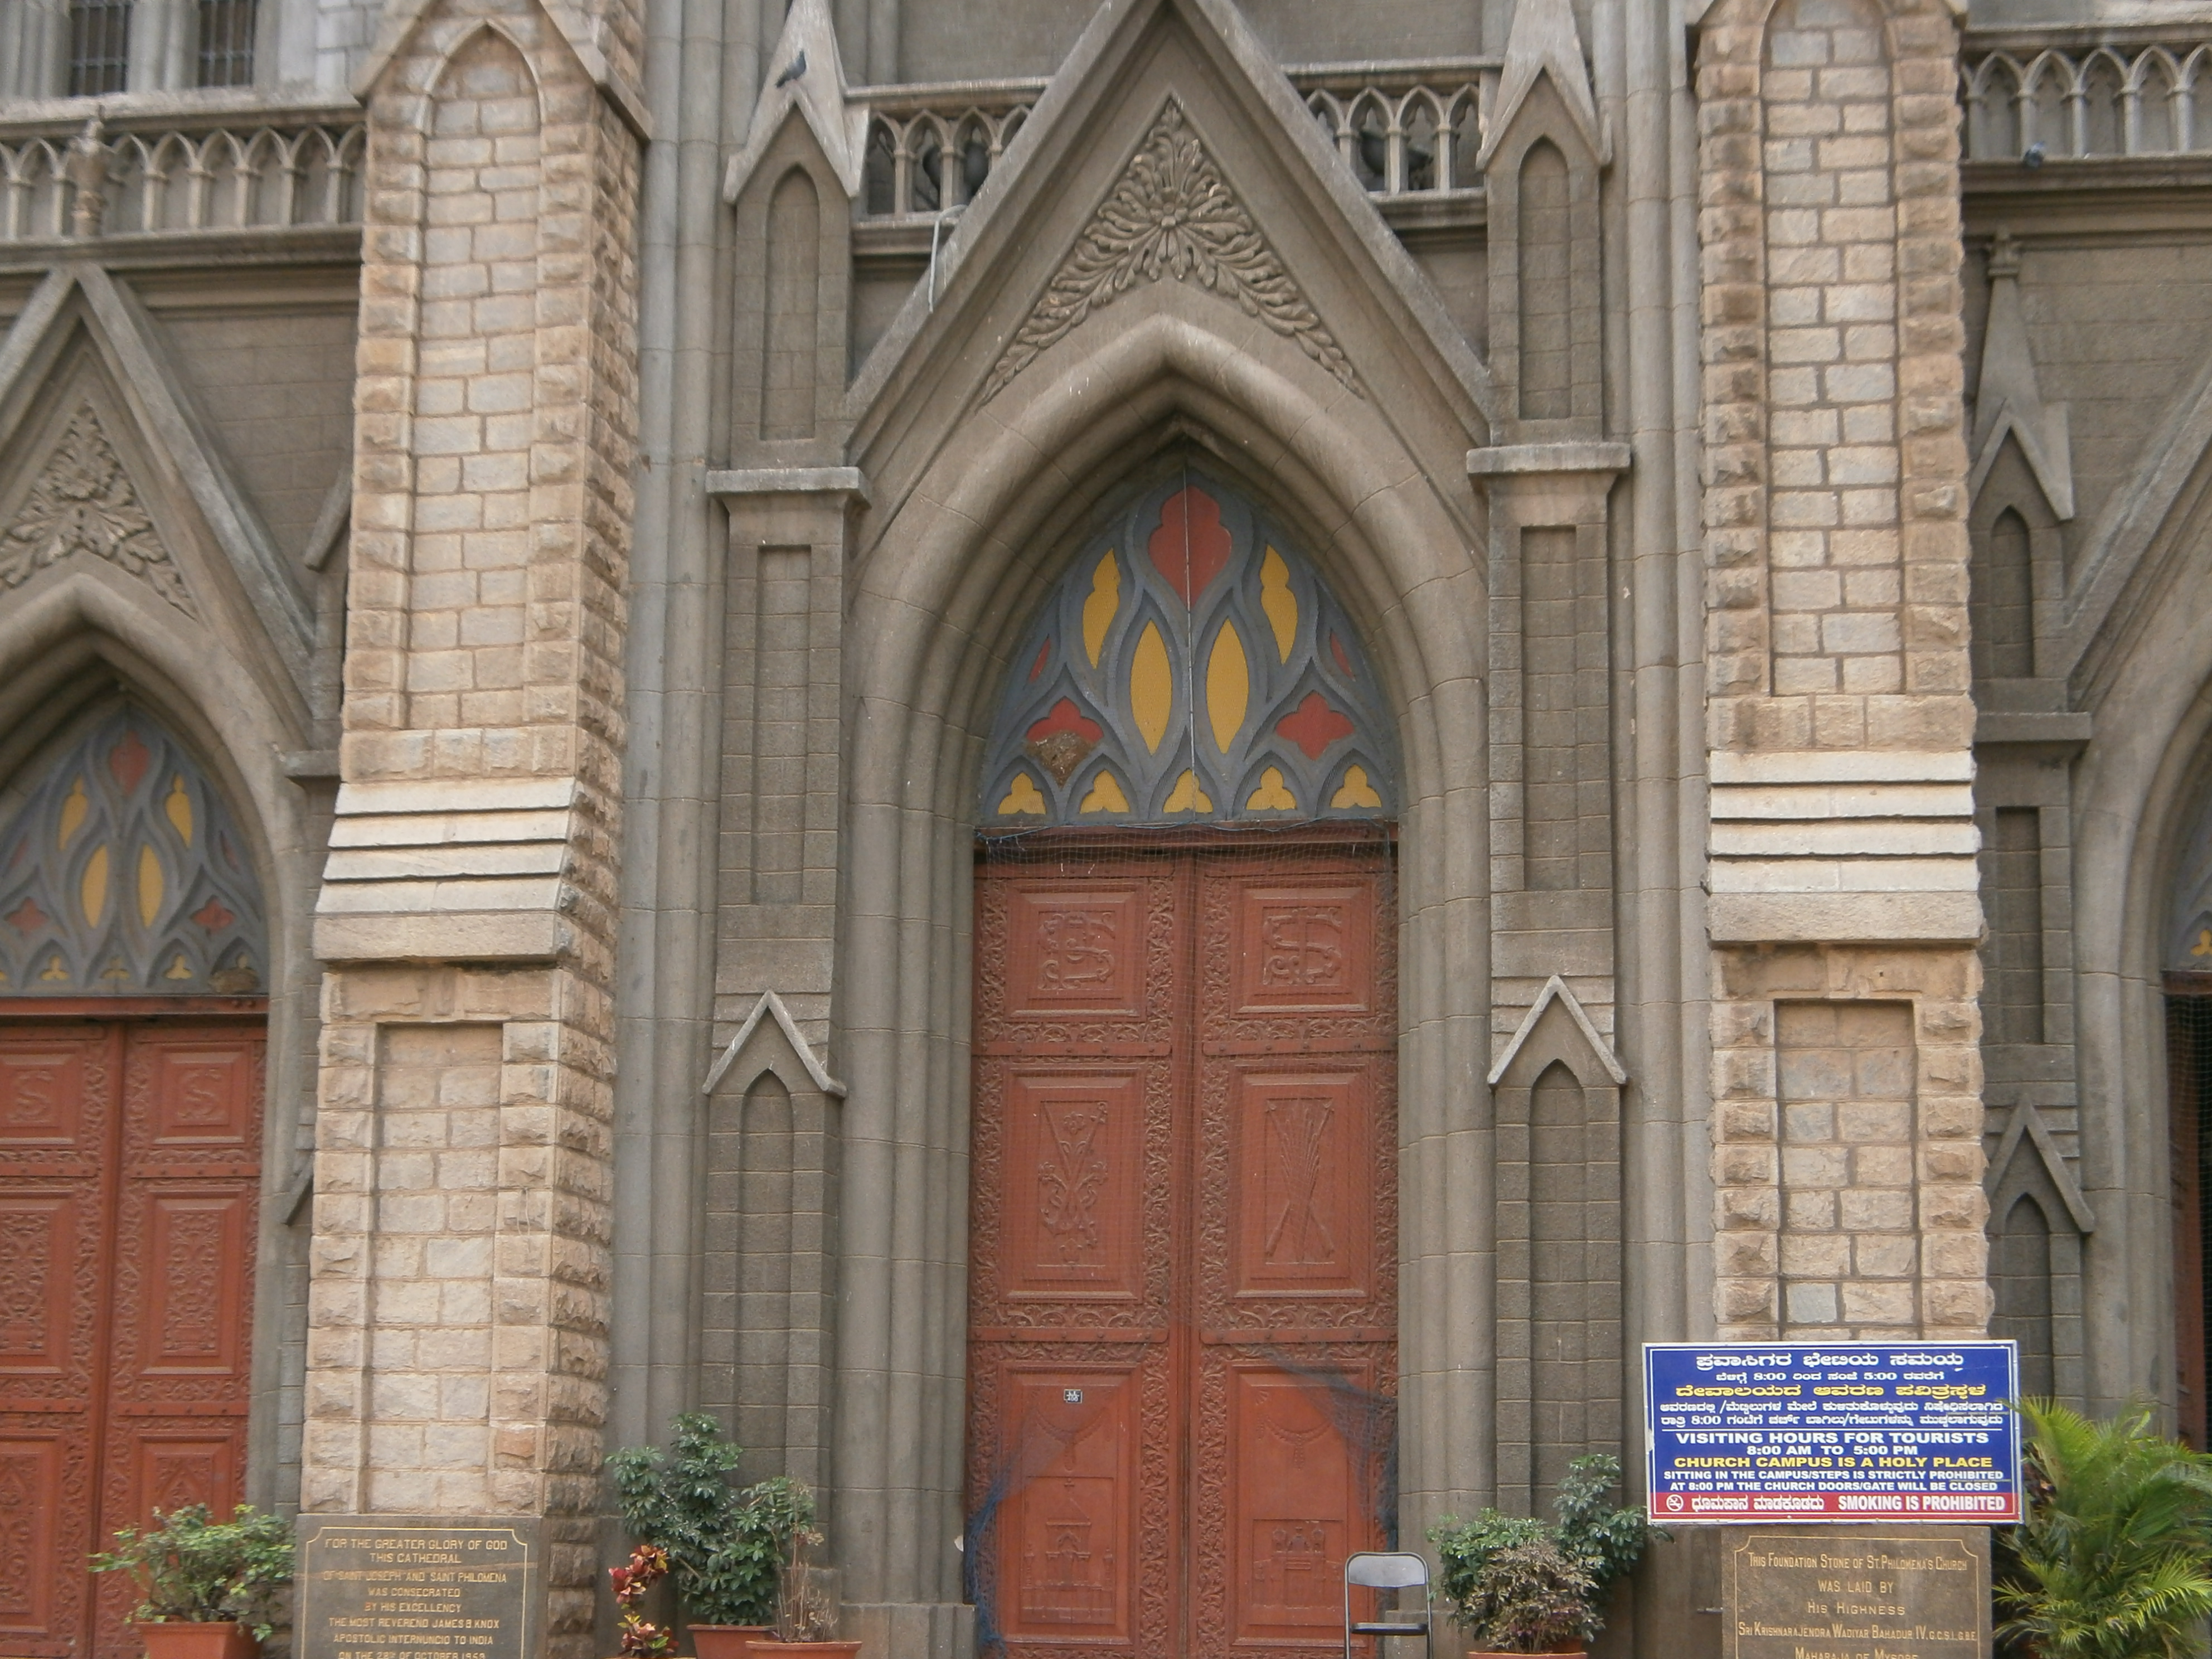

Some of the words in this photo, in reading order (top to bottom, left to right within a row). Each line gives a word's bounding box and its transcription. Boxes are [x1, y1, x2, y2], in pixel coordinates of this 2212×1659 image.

[1696, 1351, 1792, 1373] ಪ್ರವಾಸಿಗರ
[1802, 1345, 1883, 1370] ಭೇಟಿಯ
[1887, 1346, 1968, 1372] ಸಮಯ
[1714, 1366, 1751, 1386] ಬೆಳಗ್ಗ
[1749, 1370, 1788, 1384] 8:00
[1789, 1370, 1823, 1383] ರಿಂದ
[1824, 1365, 1859, 1383] ಸಂಜೆ
[1861, 1370, 1899, 1383] 5:00
[1899, 1367, 1949, 1383] ರವರೆಗೆ
[1670, 1381, 1804, 1400] ದೇವಾಲಯದ
[1811, 1379, 1887, 1399] ಆವರಣ
[1893, 1382, 1990, 1402] ಪವಿತ್ರಸ್ಠಳ
[1658, 1398, 1719, 1417] ಆವರಣದಲ್ಲಿ
[1721, 1400, 1784, 1417] ಮೆೞ್ಟಲುಗಳ
[1784, 1398, 1822, 1414] ಮೇಲೆ
[1818, 1397, 1920, 1416] ಕುಳಿತುಕೊಳ್ಳುವುದು
[1922, 1396, 2006, 1415] ನಿಷಅಧಿಸಲಾಗಿದ
[1658, 1414, 1690, 1431] ರಾತ್ರಿ
[1686, 1412, 1724, 1429] 8:00
[1725, 1413, 1764, 1428] ಗಂಟೆಗೆ
[1763, 1408, 1802, 1428] ಚಚ್೯
[1804, 1412, 1848, 1429] ಬಾಗಿಲು
[1845, 1410, 1915, 1428] ಗೇಟುಗಳನ್ನು
[1918, 1410, 2007, 1430] ಮುಚ್ಚಲಾಗುವುದು
[1673, 1429, 1766, 1448] VISITING
[1764, 1430, 1841, 1447] HOURS
[1841, 1429, 1886, 1447] FOR
[1885, 1428, 1992, 1446] TOURISTS
[1743, 1443, 1782, 1458] 8:00
[1781, 1442, 1813, 1459] AM
[1816, 1442, 1847, 1459] TO
[1853, 1442, 1891, 1458] 5:00
[1891, 1443, 1920, 1460] PM
[1670, 1452, 1753, 1471] CHURCH
[1754, 1454, 1835, 1470] CAMPUS
[1831, 1456, 1859, 1470] IS
[1854, 1455, 1875, 1470] A
[1877, 1455, 1928, 1469] HOLY
[1931, 1453, 1995, 1468] PLACE
[1660, 1467, 1714, 1483] SITTING
[1711, 1470, 1730, 1482] IN
[1728, 1466, 1758, 1482] THE
[1754, 1468, 1852, 1483] CAMPUS/STEPS
[1850, 1469, 1868, 1482] IS
[1865, 1468, 1928, 1482] STRICTLY
[1928, 1468, 2006, 1482] PROHIBITED
[1662, 1479, 1689, 1495] AT
[1684, 1478, 1714, 1492] 8:00
[1713, 1479, 1738, 1493] PM
[1735, 1478, 1765, 1495] THE
[1762, 1477, 1817, 1493] CHURCH
[1815, 1477, 1897, 1493] DOORS/GATE
[1894, 1478, 1932, 1495] WILL
[1927, 1479, 1948, 1496] BE
[1946, 1477, 1999, 1493] CLOSED
[1687, 1492, 1753, 1515] ಧೂಮಪಾನ
[1749, 1492, 1827, 1512] ಮಾಡಕೂಡದು
[1833, 1492, 1905, 1515] SMOKING
[1901, 1494, 1922, 1514] IS
[1920, 1492, 2009, 1513] PROHIBITED
[322, 1536, 348, 1551] FOR
[348, 1536, 373, 1553] THE
[372, 1536, 428, 1553] GREATER
[425, 1535, 468, 1553] GLORY
[464, 1534, 484, 1554] OF
[483, 1535, 510, 1551] GOD
[368, 1550, 396, 1567] THIS
[394, 1549, 463, 1567] CATHEDRAL
[1744, 1549, 1768, 1570] THIS
[1764, 1549, 1821, 1570] FOUNDATION
[1818, 1550, 1851, 1571] STONE
[1850, 1555, 1866, 1570] OF
[1864, 1551, 1935, 1571] ST.PHILOMENA
[1932, 1550, 1968, 1574] CHURCH
[318, 1567, 337, 1585] OF
[335, 1567, 365, 1583] SANT
[363, 1569, 405, 1585] JOSEPH
[405, 1569, 428, 1585] AND
[428, 1569, 457, 1585] SAINT
[454, 1568, 509, 1584] PHILOMENA
[365, 1584, 392, 1600] WAS
[387, 1585, 463, 1599] CONSECRATED
[1815, 1578, 1842, 1595] WAS
[1845, 1579, 1876, 1597] LAID
[1877, 1576, 1896, 1597] BY
[362, 1599, 379, 1616] BY
[377, 1599, 397, 1614] HIS
[394, 1599, 463, 1617] EXCELLENCY
[1802, 1597, 1833, 1615] HIS
[1833, 1598, 1908, 1619] HIGHNESS
[324, 1614, 347, 1631] THE
[332, 1629, 388, 1647] APOSTOLIC
[346, 1615, 377, 1631] MOST
[376, 1614, 431, 1630] REVEREND
[385, 1631, 452, 1647] INTERNUNCIO
[426, 1616, 464, 1631] JAMES
[452, 1632, 469, 1646] TO
[466, 1632, 496, 1646] INDIA
[463, 1617, 501, 1631] 8 KNOX
[1733, 1617, 1757, 1639] SRI
[1752, 1618, 1834, 1638] KRISHNARAJENDRA
[1826, 1622, 1871, 1639] WADIYAR
[1868, 1621, 1915, 1642] BAHADUR
[1909, 1623, 1980, 1645] IV.G.C.S.GBE